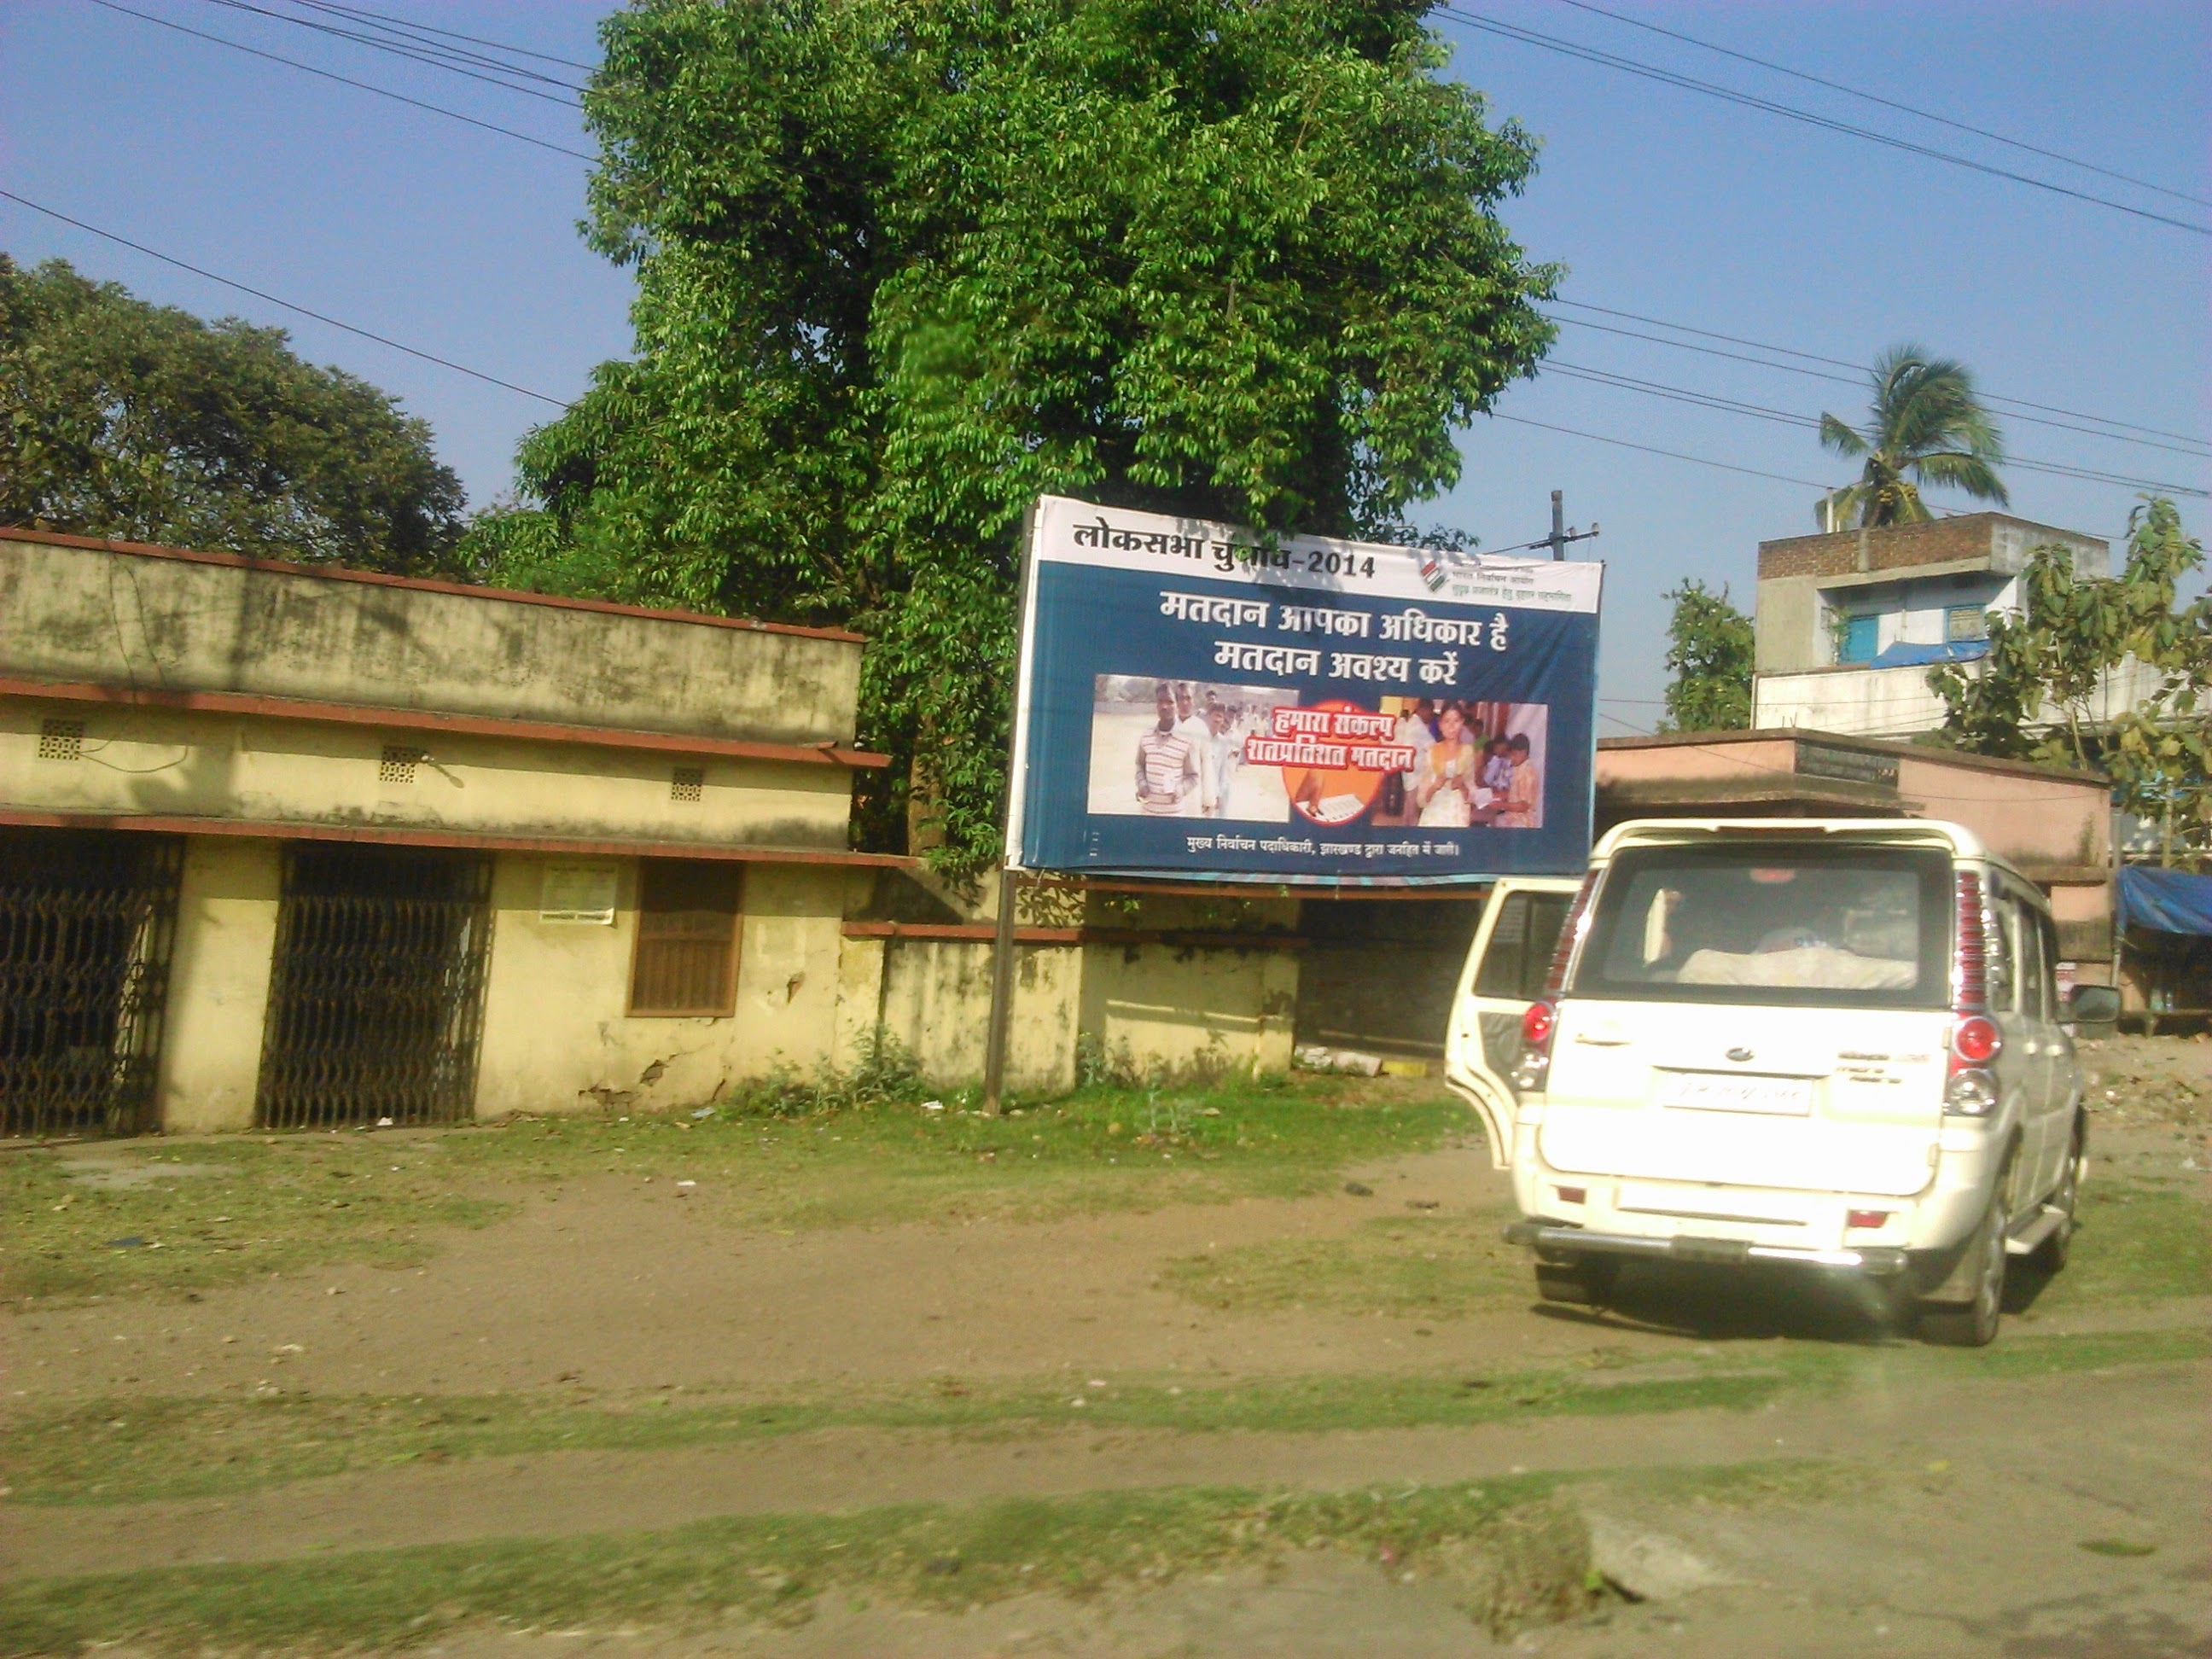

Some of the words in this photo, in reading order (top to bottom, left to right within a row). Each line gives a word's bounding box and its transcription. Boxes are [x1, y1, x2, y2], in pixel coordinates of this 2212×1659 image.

[1070, 510, 1207, 562] लोकसभा
[1157, 586, 1270, 632] मतदान
[1211, 538, 1294, 578] चुनाव
[1271, 601, 1373, 642] आपका
[1305, 546, 1380, 581] 2014
[1375, 604, 1486, 649] अधिकार
[1469, 584, 1500, 600] प्रजातत्र
[1471, 565, 1511, 584] निर्वाचन
[1483, 608, 1511, 655] है
[1494, 582, 1517, 604] हेतु
[1507, 573, 1537, 588] आयोग
[1534, 585, 1575, 606] सहभागिता
[1211, 637, 1325, 679] मतदान
[1326, 651, 1416, 685] अवश्य
[1415, 648, 1460, 688] करें
[1272, 705, 1331, 738] हमारा
[1330, 699, 1398, 742] संकल्प
[1245, 731, 1349, 770] शतप्रतिशत
[1349, 743, 1417, 777] मतदान
[1179, 834, 1218, 858] मुख्‍य
[1213, 829, 1258, 855] निर्वाचन
[1255, 832, 1317, 859] पदाधिकारी
[1319, 839, 1365, 859] झारखण्ड
[1360, 841, 1388, 863] द्वारा
[1382, 837, 1423, 860] जनहित
[1416, 836, 1435, 860] में
[1429, 835, 1462, 859] जारी।